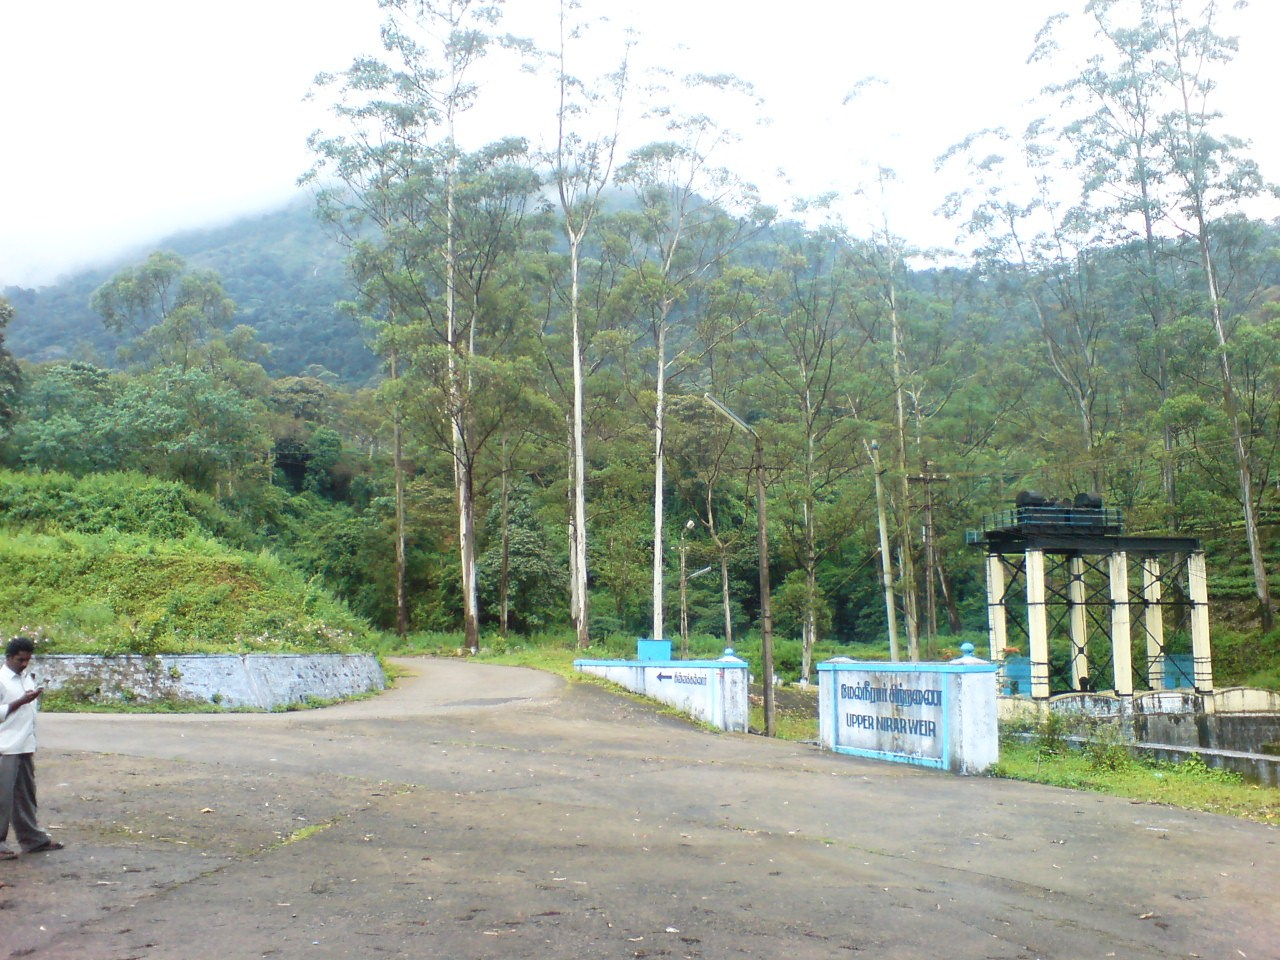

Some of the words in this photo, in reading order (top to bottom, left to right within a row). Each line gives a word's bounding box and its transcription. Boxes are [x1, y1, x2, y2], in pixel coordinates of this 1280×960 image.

[839, 673, 890, 709] மேல்நீராா்
[883, 674, 944, 711] சிற்றணை
[843, 710, 877, 733] UPPER
[873, 711, 939, 740] NIRARWEIR